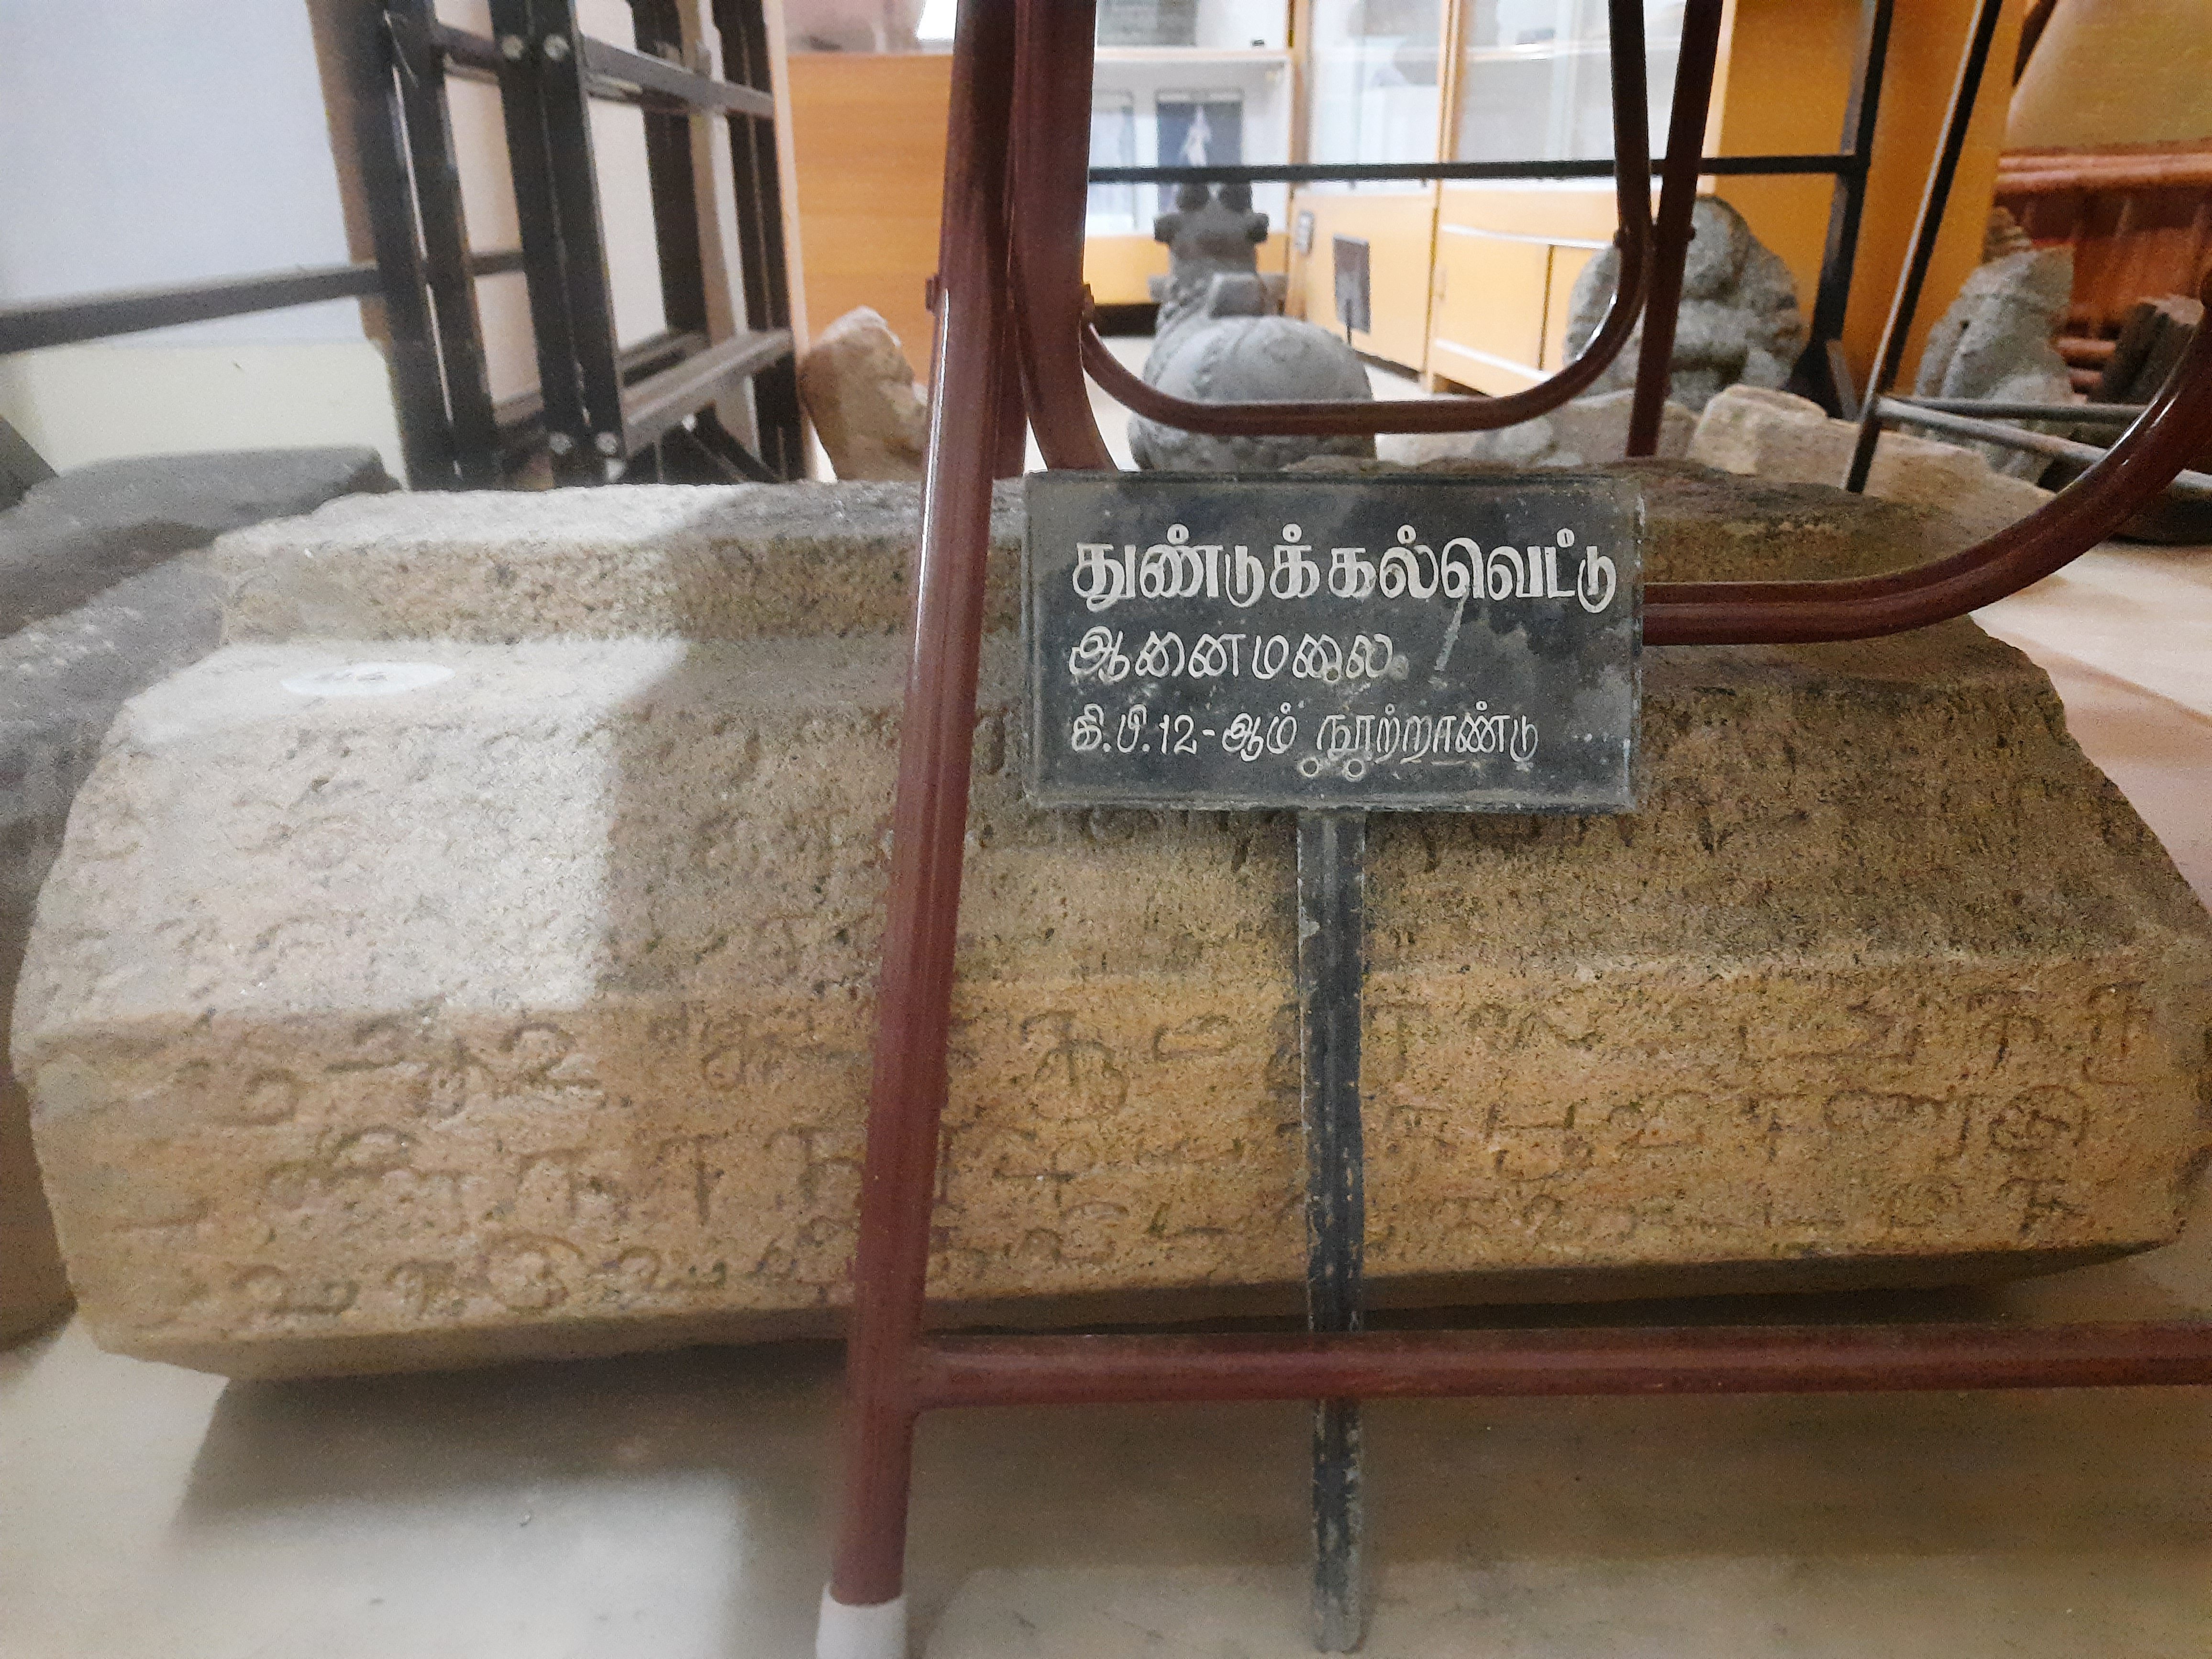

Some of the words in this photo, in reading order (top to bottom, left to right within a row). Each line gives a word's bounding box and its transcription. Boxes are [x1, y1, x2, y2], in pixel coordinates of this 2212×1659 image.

[1065, 517, 1620, 619] துண்டுக்கல்வெட்டு
[1066, 616, 1398, 687] ஆனைமலை
[1067, 691, 1200, 758] கி.பி.12
[1221, 697, 1308, 768] ஆம்
[1309, 694, 1545, 768] நூற்றாண்டு